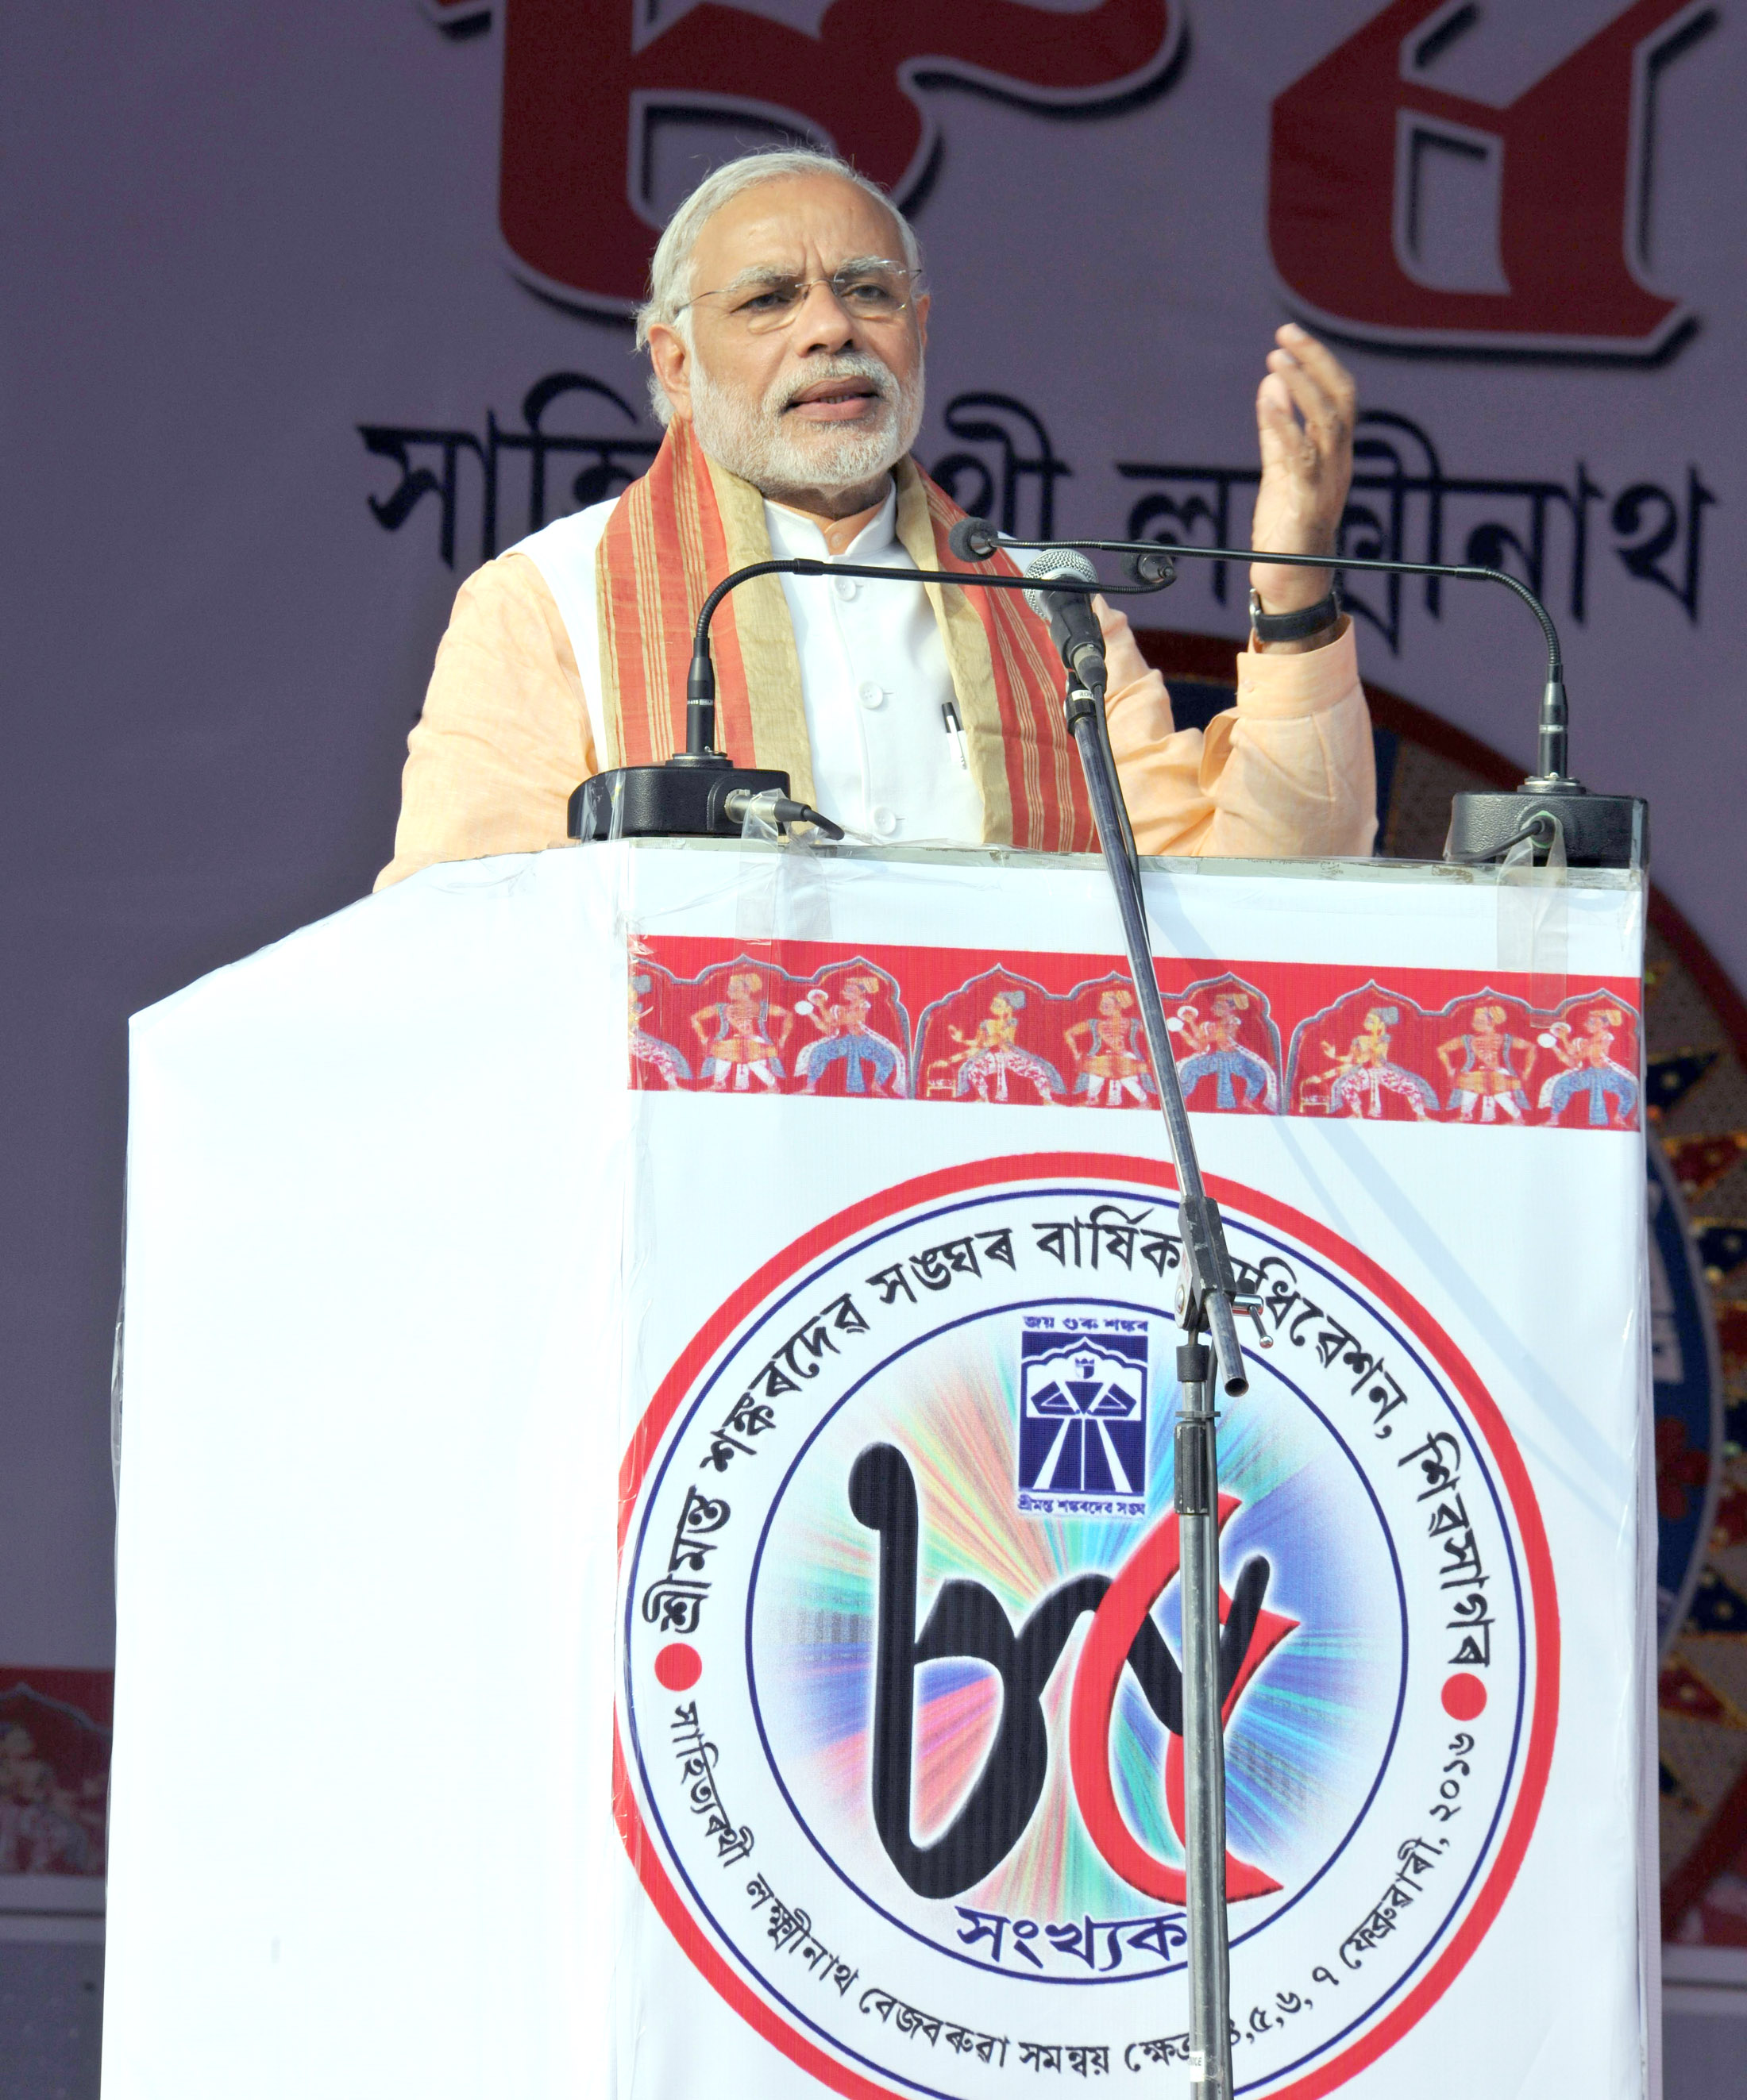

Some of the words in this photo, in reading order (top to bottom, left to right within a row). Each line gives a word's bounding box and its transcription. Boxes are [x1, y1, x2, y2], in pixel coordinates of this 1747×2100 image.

[860, 1215, 1022, 1318] সঙঘৰ
[1031, 1196, 1193, 1284] বার্ষিক
[689, 1277, 880, 1489] শঙ্কৰদেৱ
[1231, 1244, 1412, 1431] ধিৱেশন
[631, 1477, 745, 1645] শ্রীমন্ত
[1387, 1423, 1505, 1674] শিৱসাগৰ
[661, 1699, 761, 1872] সাহিত্যৰথী
[1424, 1728, 1481, 1828] ২০১৬
[736, 1867, 862, 2007] লক্ষ্মীনাথ
[947, 1903, 1190, 1976] সংখ্যক
[1334, 1824, 1451, 1979] ফেব্রুৱাৰী,
[848, 1979, 1014, 2076] বেজবৰুৱা
[1011, 2032, 1113, 2081] সমন্বয়
[1113, 2021, 1199, 2079] ক্ষেত্র
[1227, 1982, 1315, 2046] ৪,৫,৬,